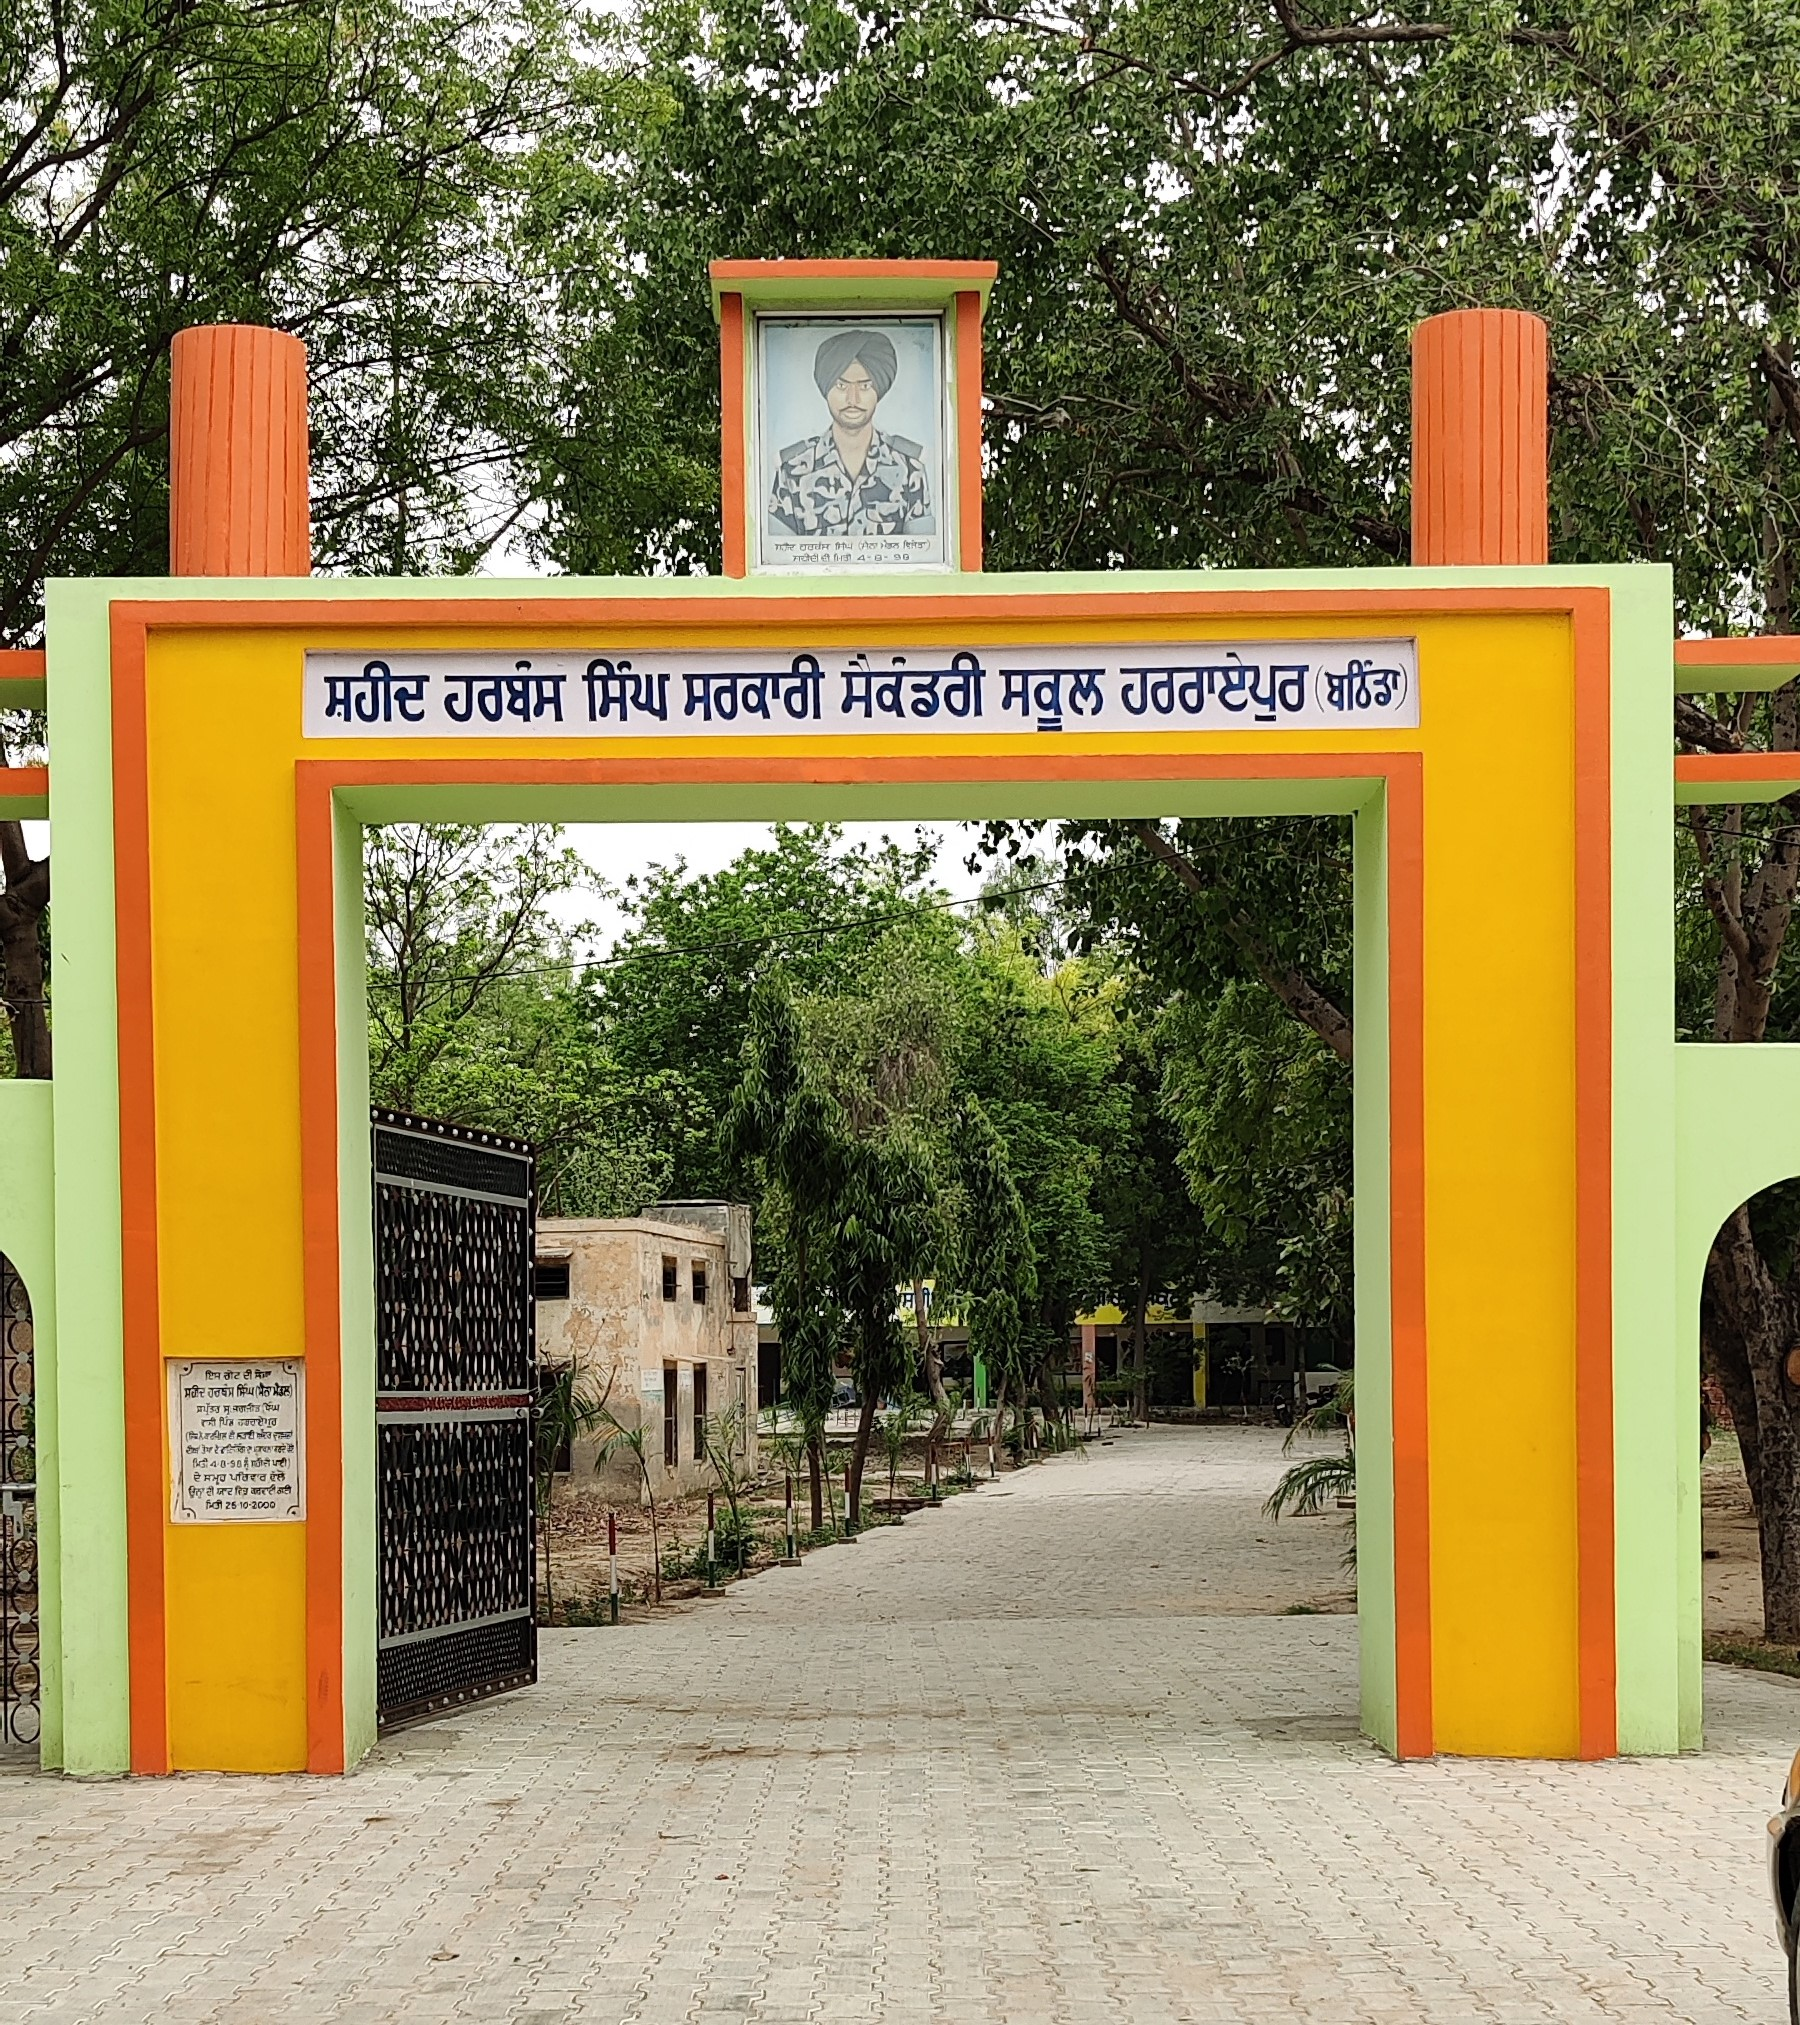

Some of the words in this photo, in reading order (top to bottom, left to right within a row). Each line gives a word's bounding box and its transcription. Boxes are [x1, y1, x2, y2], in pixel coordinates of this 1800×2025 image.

[311, 660, 433, 735] ਸ਼ਹੀਦ
[439, 653, 573, 728] ਹਰਬੰਸ
[575, 652, 675, 725] ਸਿੰਘ
[676, 649, 832, 734] ਸਰਕਾਰੀ
[831, 647, 995, 725] ਸਕੰਡਰੀ
[990, 661, 1109, 736] ਸਕੂਲ
[1112, 642, 1315, 734] ਹਰਰਾਏਪੁਰ
[1318, 652, 1409, 713] ਬਠਿੰਡਾ